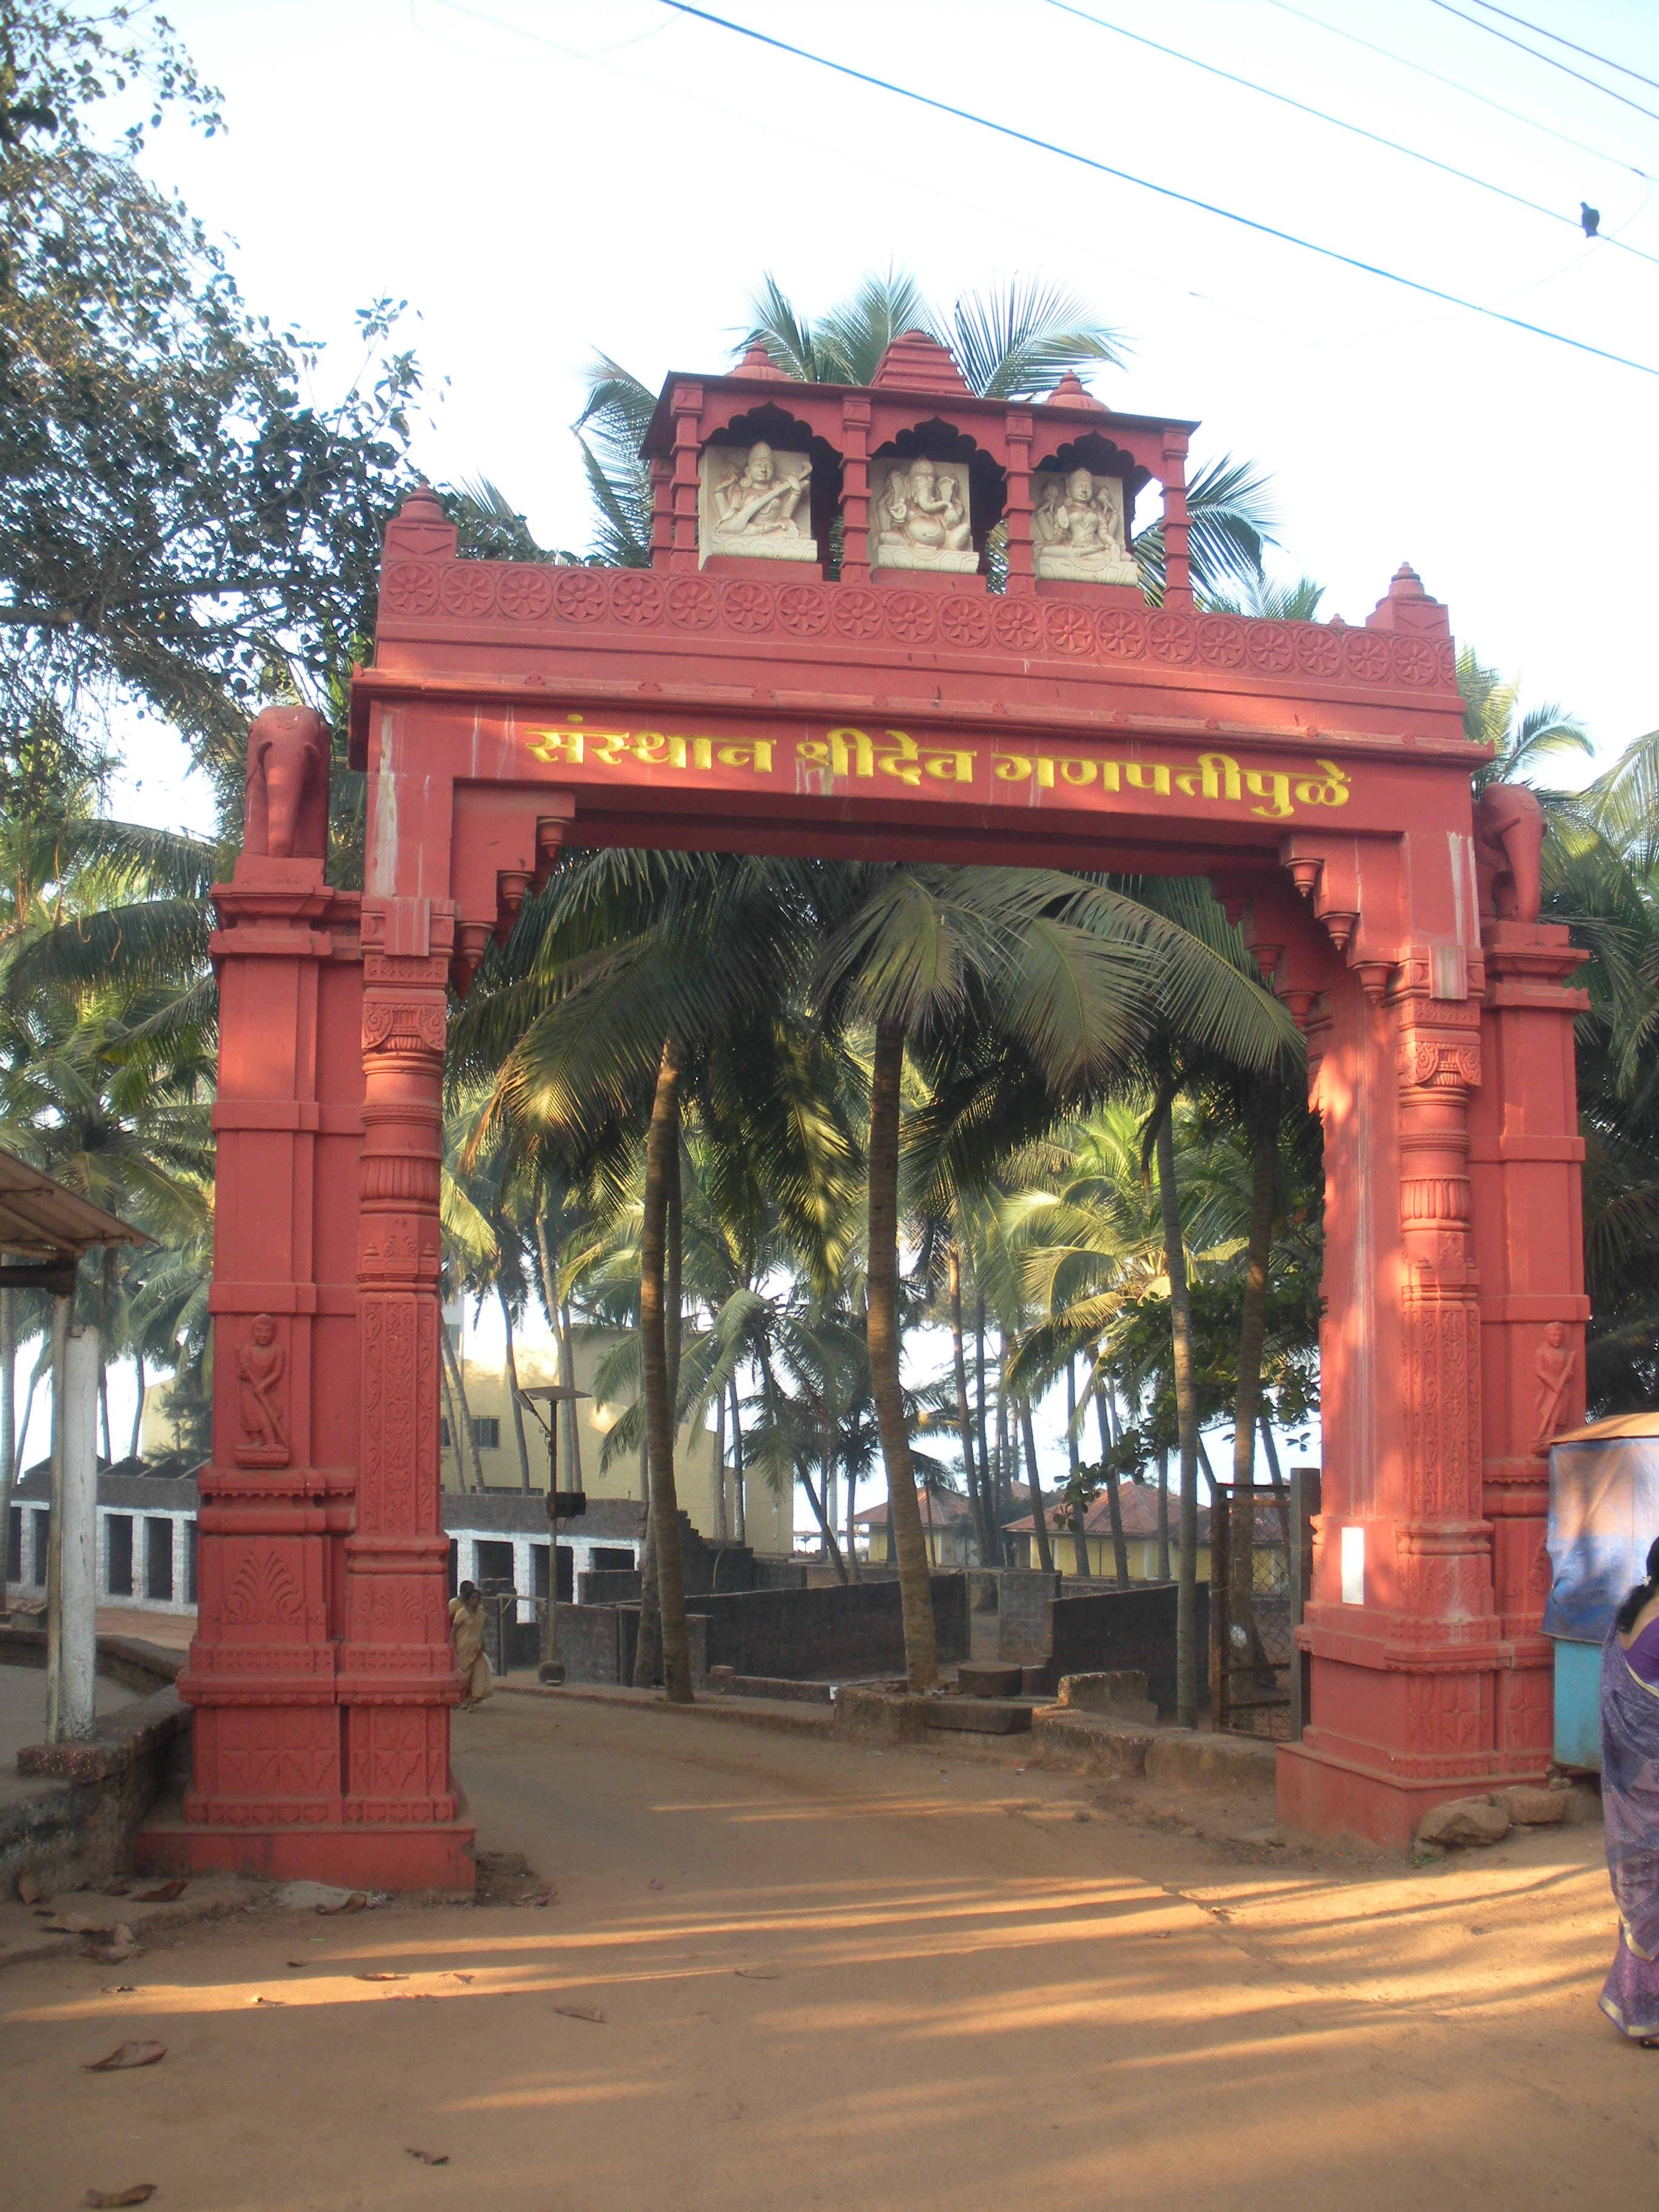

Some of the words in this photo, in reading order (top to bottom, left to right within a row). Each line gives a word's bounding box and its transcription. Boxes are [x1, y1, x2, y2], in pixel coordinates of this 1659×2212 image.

[514, 708, 783, 780] संस्थान
[785, 722, 985, 793] श्रीदेव
[988, 743, 1362, 822] गणपतीपुळे